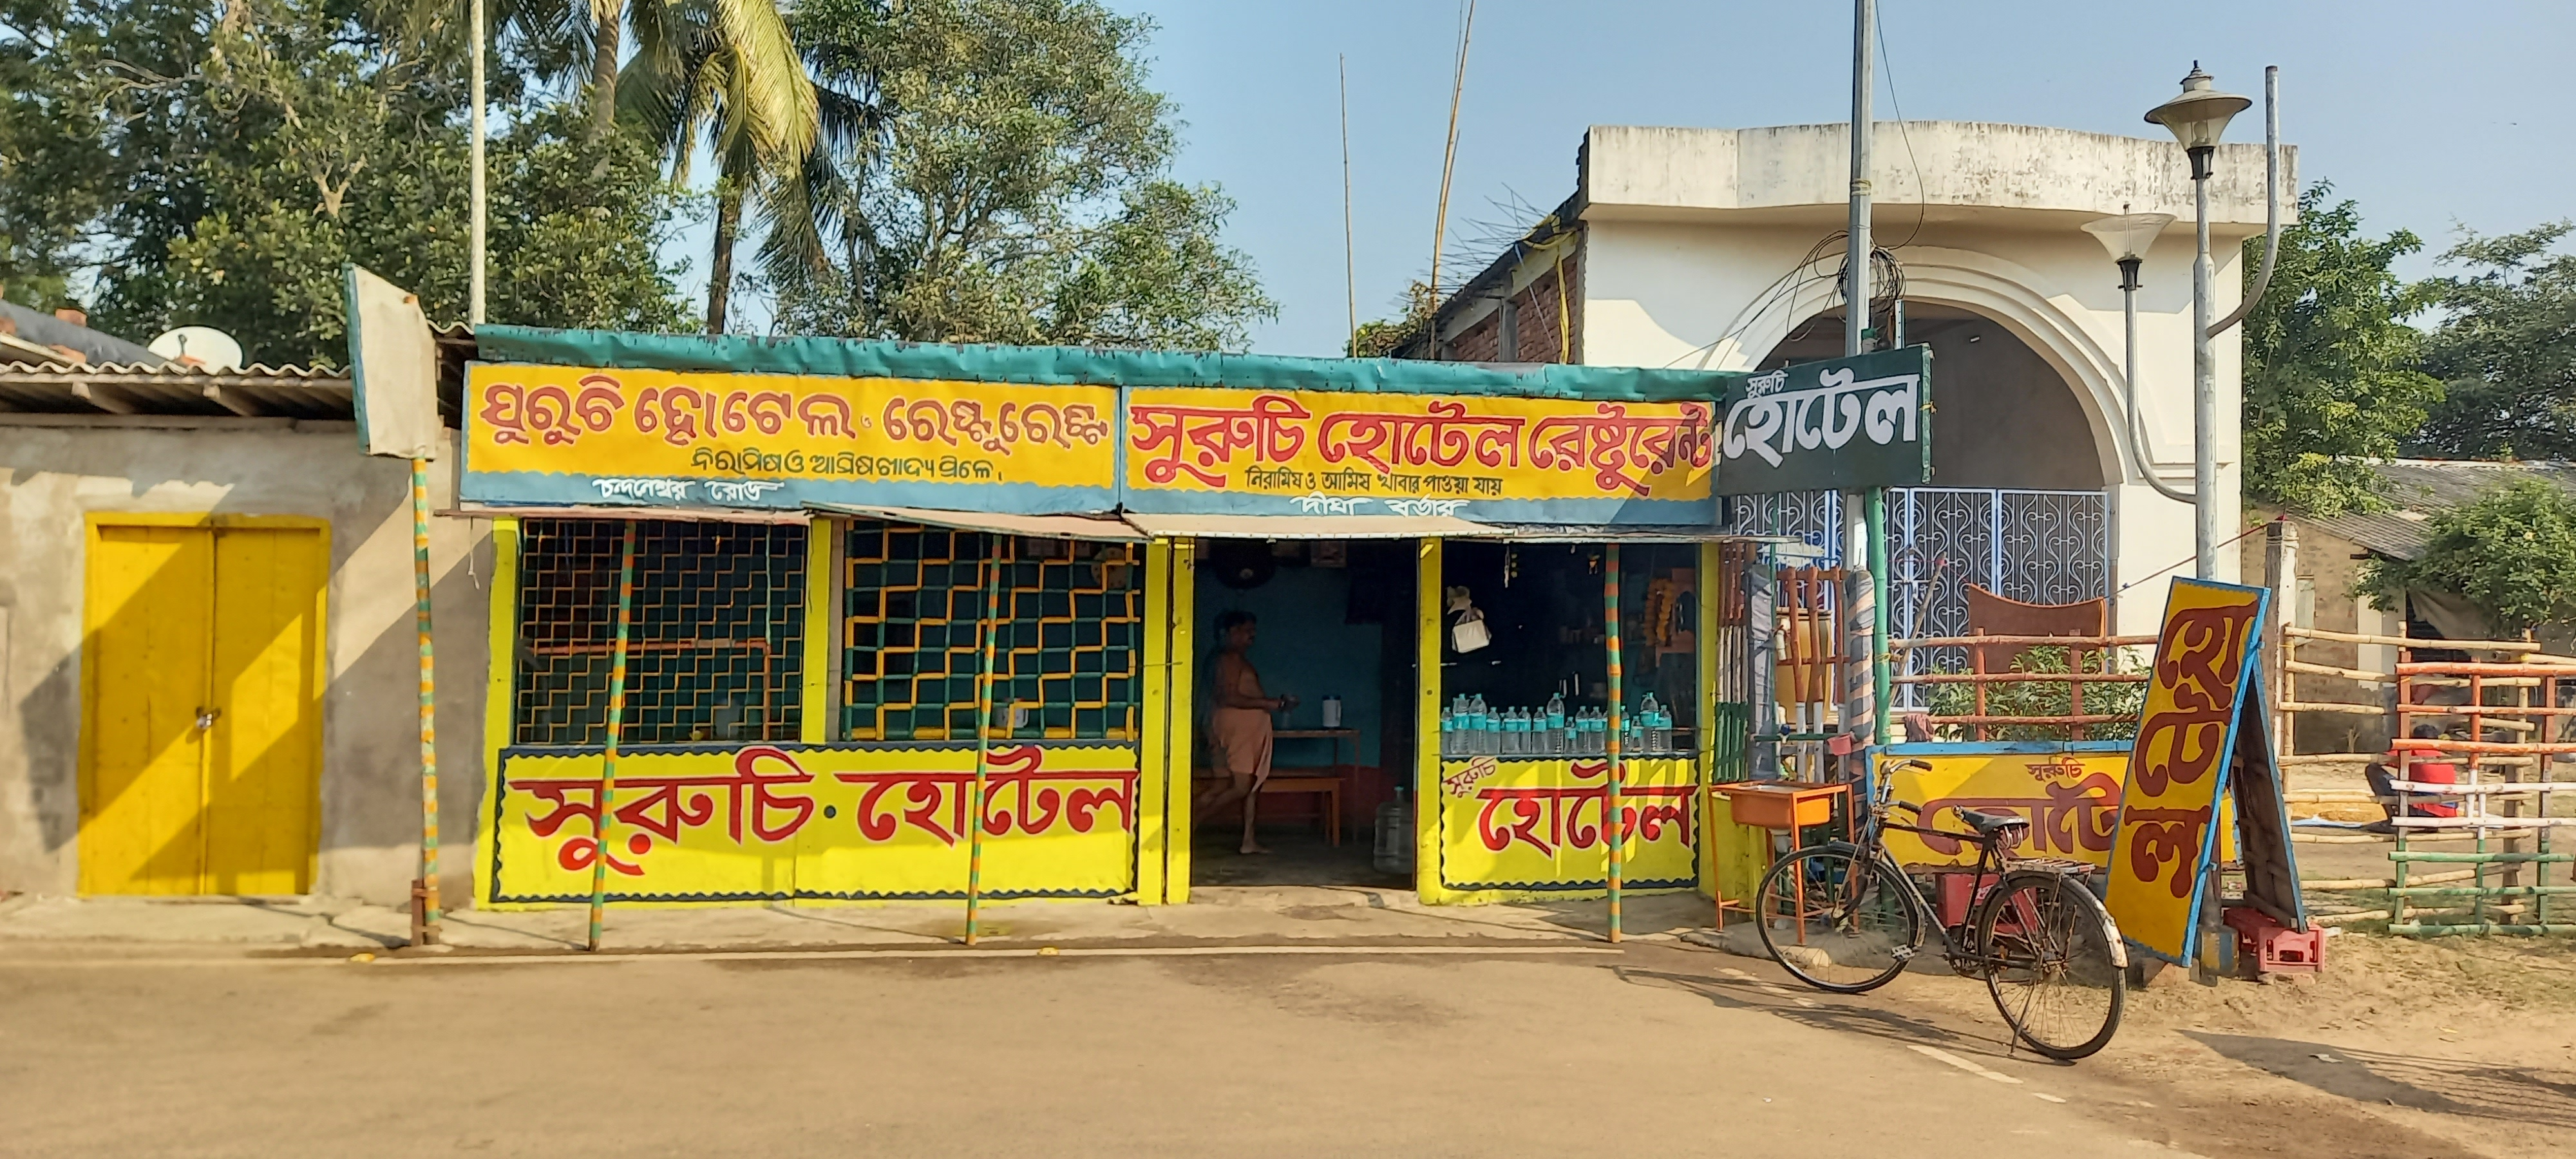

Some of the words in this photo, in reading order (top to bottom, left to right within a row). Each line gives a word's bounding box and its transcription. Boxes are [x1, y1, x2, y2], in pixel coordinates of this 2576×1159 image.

[468, 368, 629, 448] ପୁରୁଟି
[587, 475, 697, 502] চন্দনেশ্বর
[629, 382, 859, 450] ହୋଟେଲ
[698, 477, 791, 505] রোড
[683, 442, 807, 478] ନିରାମିଷ ଓ
[803, 448, 996, 480] ଆସିଷଖାଦ୍ୟ ମିଳେ
[879, 393, 1112, 460] ରେଷ୍ଟୁରେଷ୍ଟ
[1126, 387, 1313, 491] সুরুচি
[1239, 462, 1308, 493] নিরামিষ
[1288, 485, 1375, 520] দীঘা
[1320, 463, 1377, 494] আমিষ
[1374, 469, 1425, 498] খাবার
[1312, 393, 1528, 476] হোটেল
[1379, 489, 1473, 518] বর্ডার
[1421, 471, 1473, 499] পাওয়া
[1471, 469, 1507, 498] যায়
[1522, 397, 1716, 502] রেস্টুরেন্ট
[1737, 364, 1789, 407] সুরুচি
[1719, 358, 1926, 473] হোটেল
[506, 736, 822, 879] সুরুচি
[833, 739, 1142, 851] হোটেল
[1432, 748, 1503, 805] সুরুচি
[1472, 752, 1700, 860] হোটেল
[1913, 765, 2130, 858] হোটে
[2020, 747, 2089, 784] সুরুচি
[2117, 597, 2262, 901] হোটেল